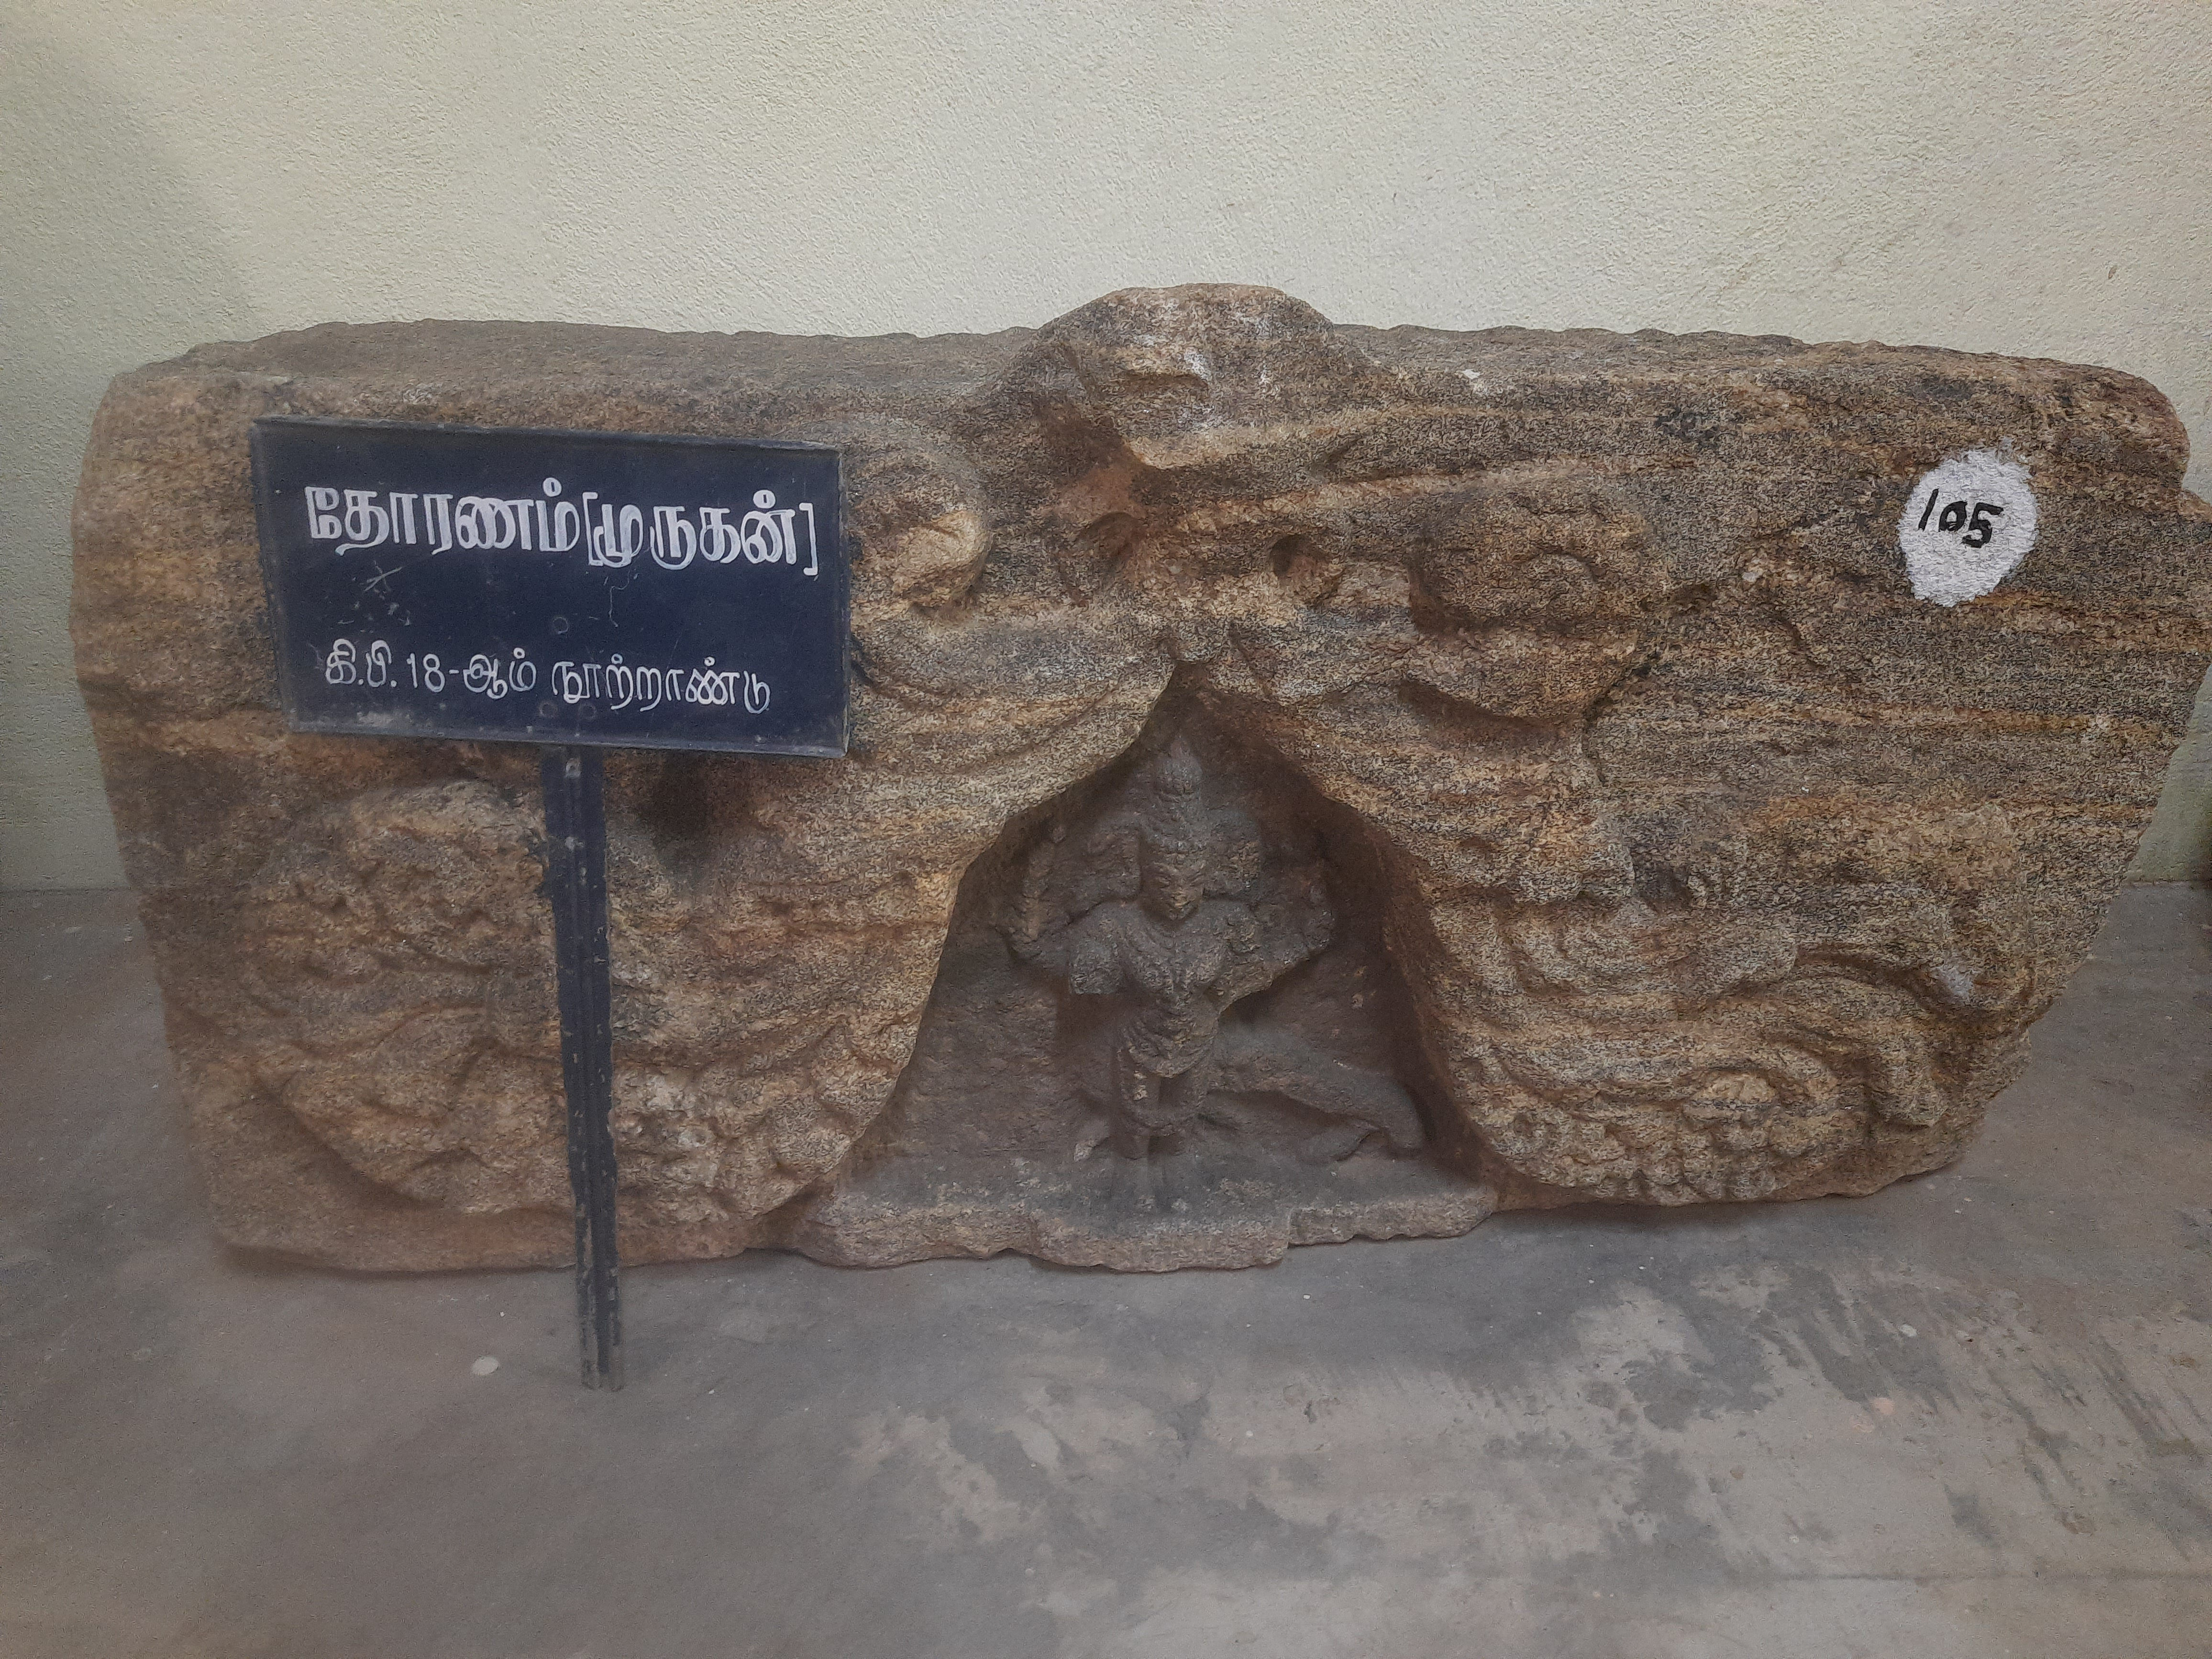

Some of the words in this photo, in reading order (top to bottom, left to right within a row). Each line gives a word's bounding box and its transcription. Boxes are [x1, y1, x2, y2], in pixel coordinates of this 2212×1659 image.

[304, 472, 799, 576] தோரணம் [முருகன்
[1918, 480, 2002, 557] 105
[311, 630, 401, 692] கி.பி.
[406, 640, 545, 705] 18-ஆம்
[546, 647, 775, 719] நூற்றாண்டு